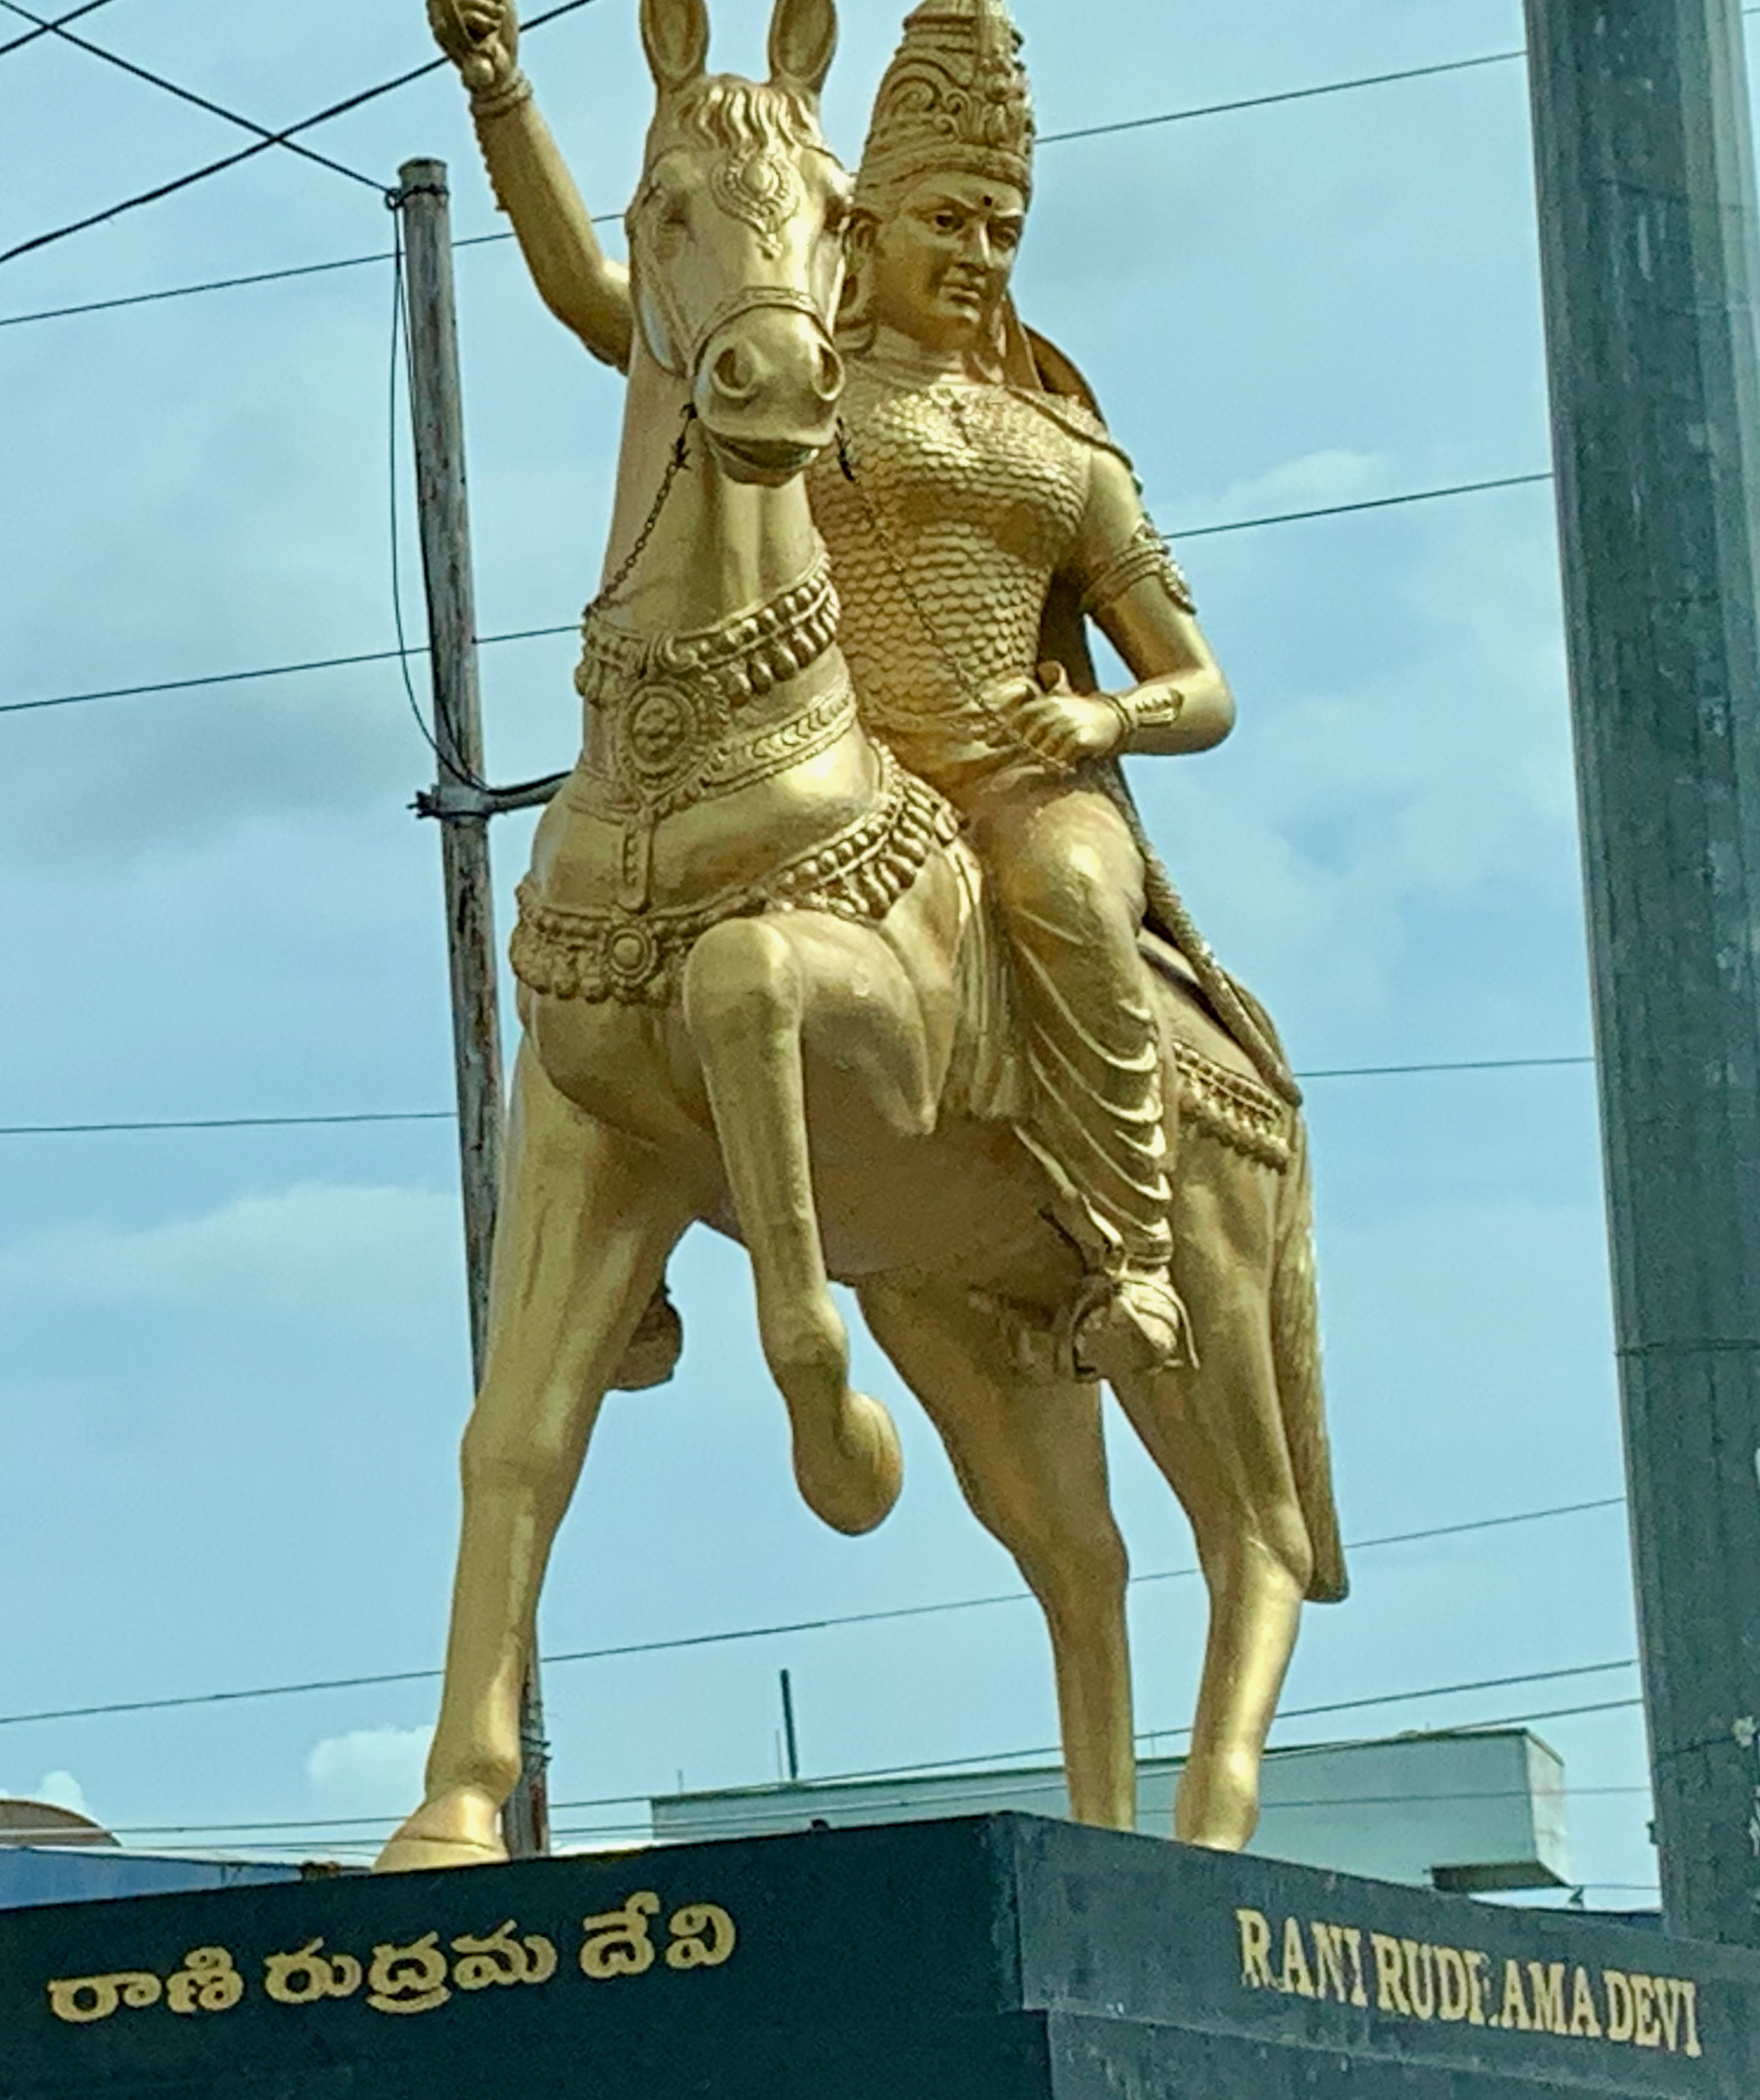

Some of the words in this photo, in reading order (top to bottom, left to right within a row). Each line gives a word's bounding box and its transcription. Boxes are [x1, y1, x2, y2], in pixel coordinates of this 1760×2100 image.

[41, 1939, 249, 2028] రాణి
[258, 1915, 561, 2023] రుద్రమ
[571, 1881, 743, 1991] దేవి
[1231, 1900, 1374, 2017] RANI
[1361, 1925, 1606, 2044] RUDEAMA
[1596, 1962, 1705, 2060] DEVI